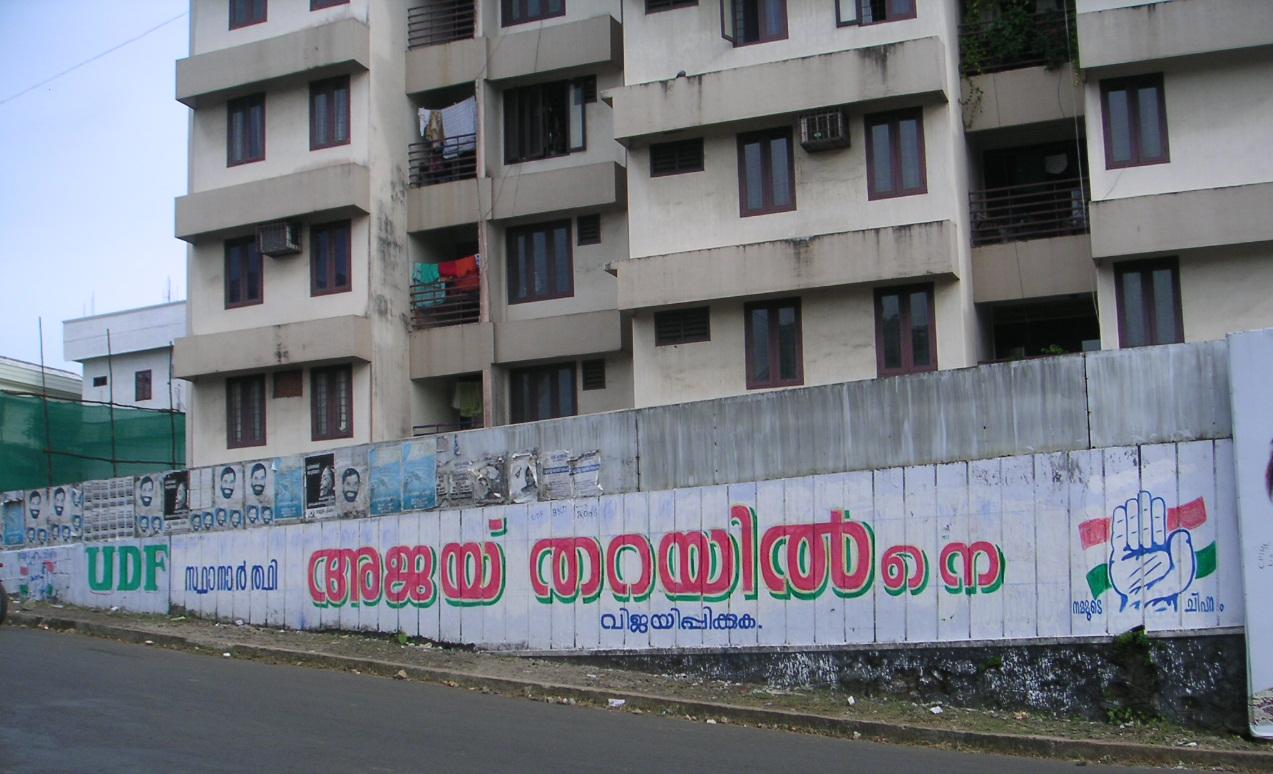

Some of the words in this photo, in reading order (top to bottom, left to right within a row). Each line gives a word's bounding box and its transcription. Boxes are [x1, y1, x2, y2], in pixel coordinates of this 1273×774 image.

[80, 539, 172, 595] UDF
[178, 559, 249, 594] സ്ഥാനാർ
[247, 556, 284, 593] ത്ഥി
[307, 509, 513, 609] അജയ്
[527, 499, 879, 604] തറയിൽ
[880, 535, 1009, 598] നെ
[595, 599, 765, 636] വിജയിപ്പിക്കുക
[1069, 595, 1107, 629] നാടൂടെ
[1178, 585, 1228, 615] ചിഹ്നം